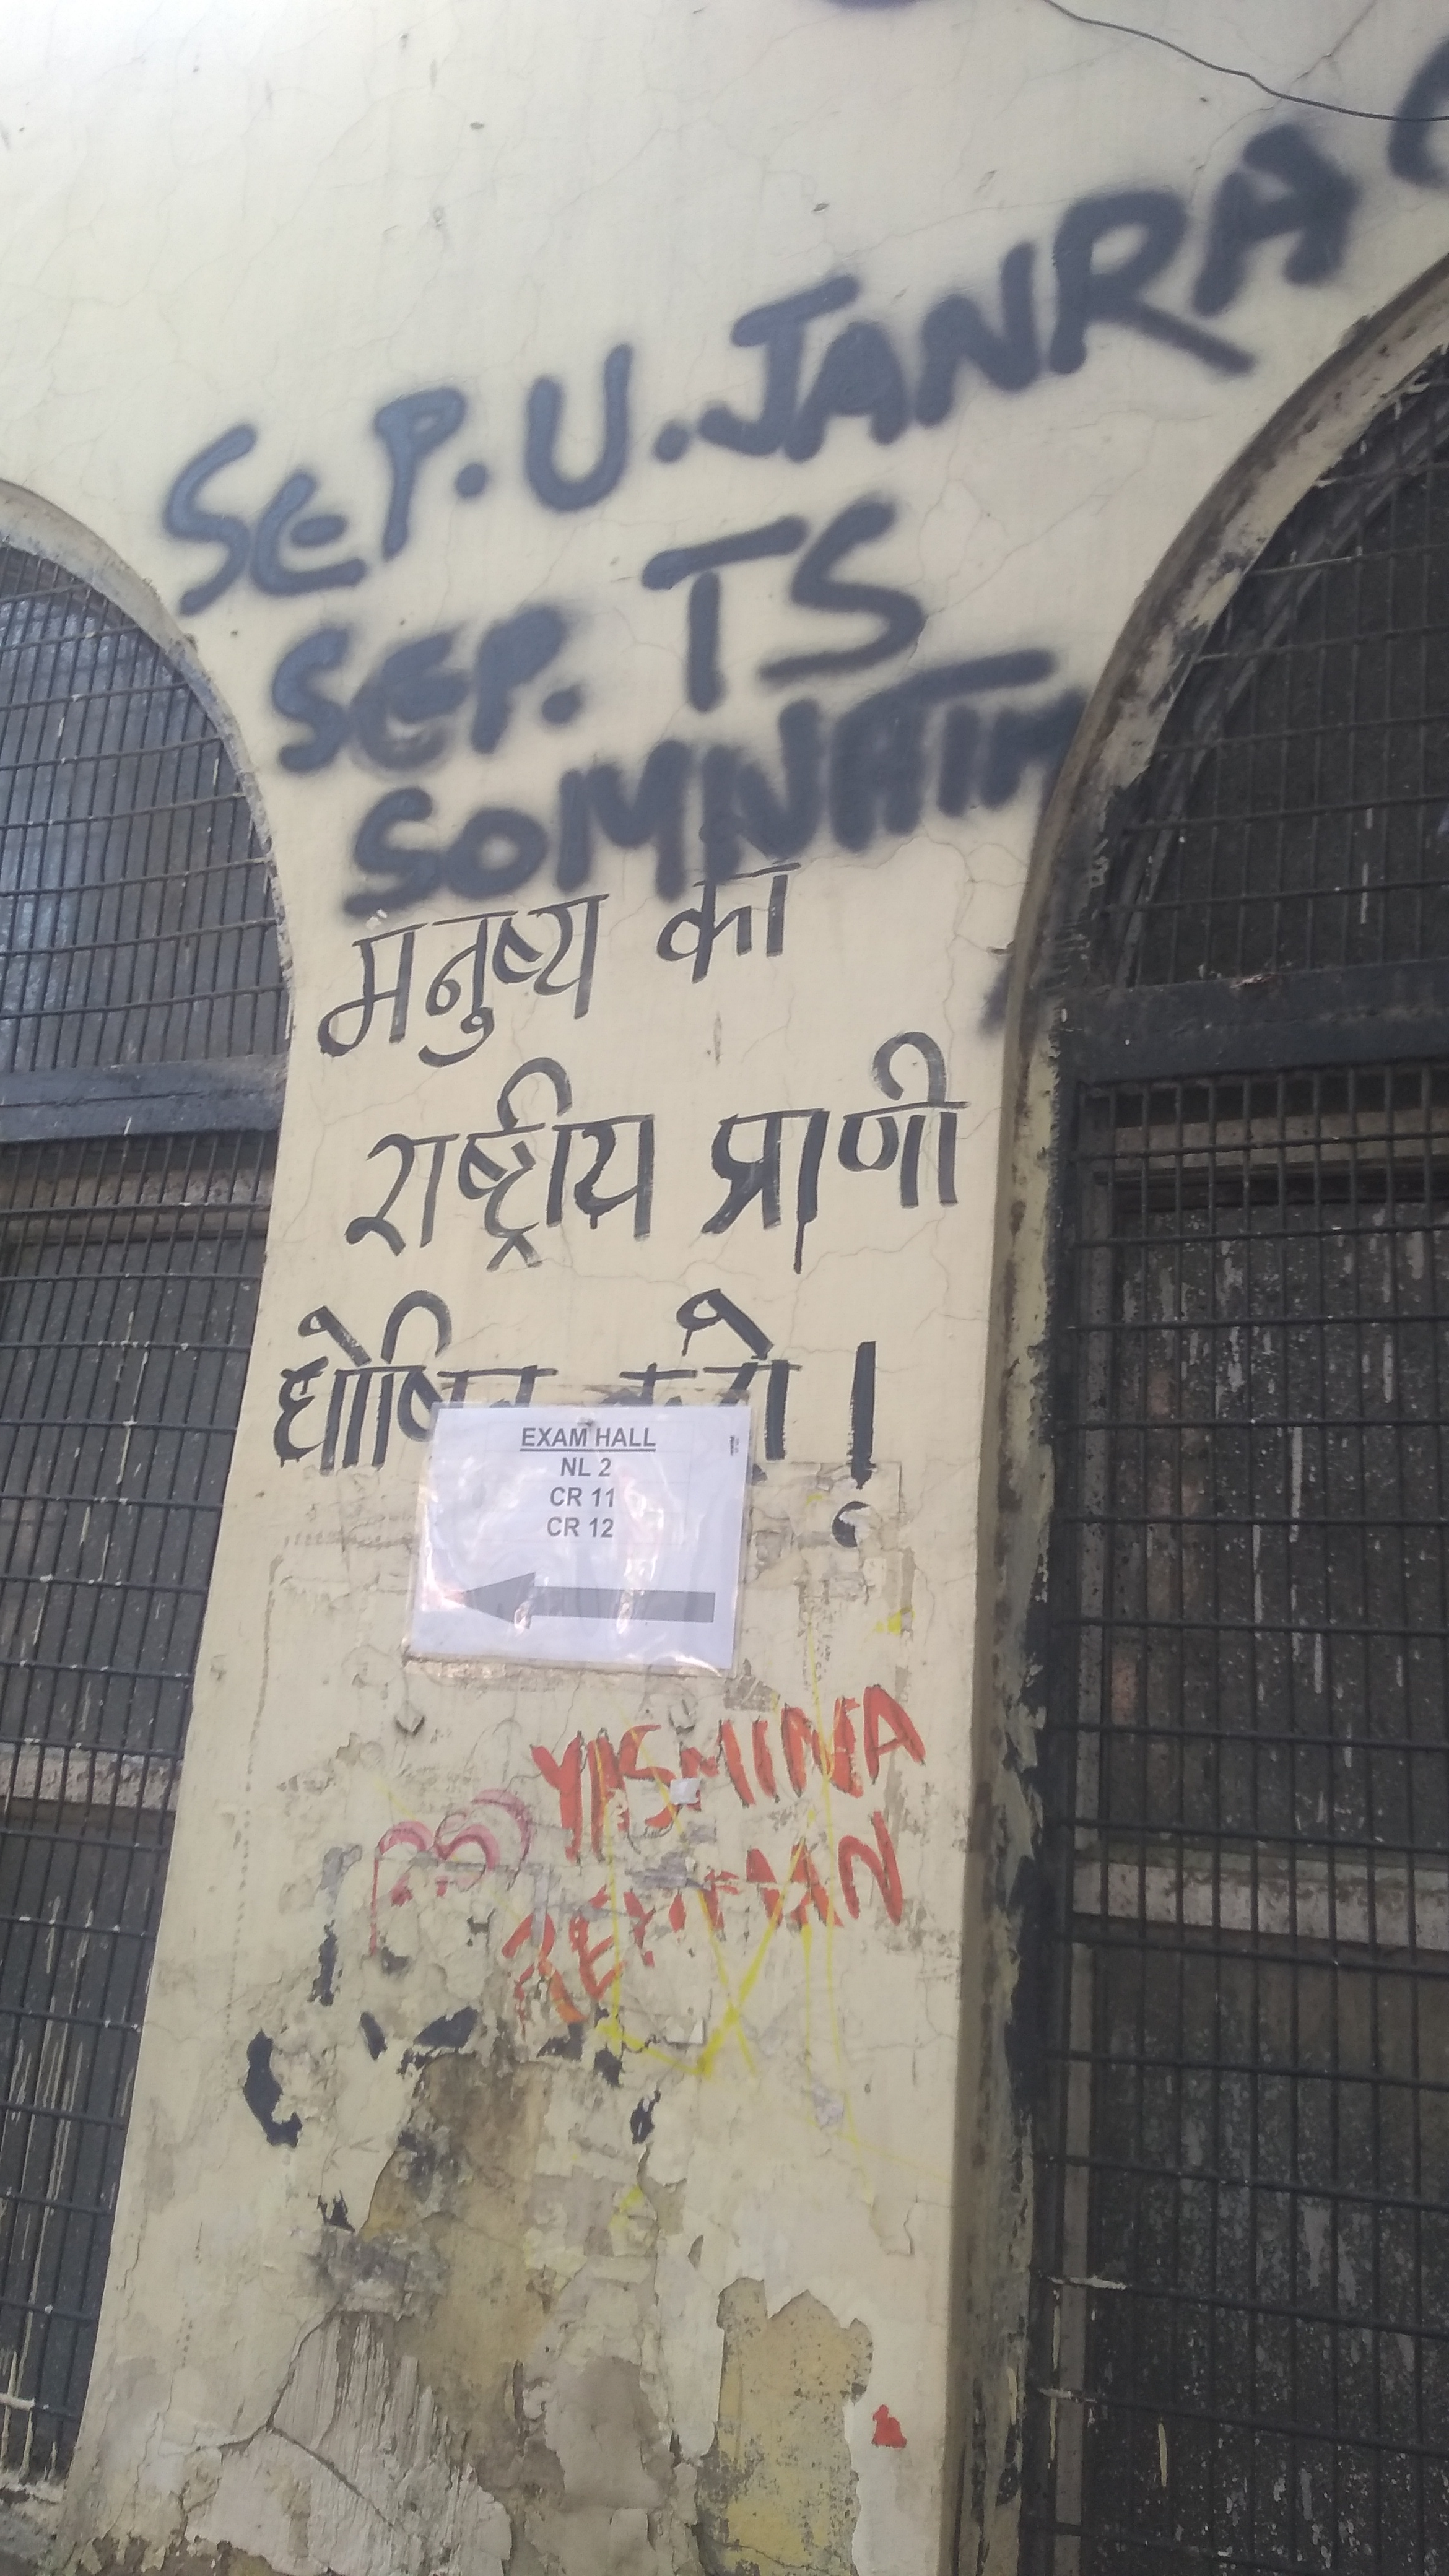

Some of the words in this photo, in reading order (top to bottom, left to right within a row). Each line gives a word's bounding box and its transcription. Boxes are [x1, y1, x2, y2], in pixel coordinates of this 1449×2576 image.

[160, 170, 1193, 622] SEP.U.JANR
[258, 602, 591, 781] SEP.
[329, 632, 1085, 924] SOMNATM
[305, 892, 622, 1079] मनुष्य
[646, 859, 811, 997] का
[326, 1049, 668, 1279] राष्‍ट्रीय
[694, 1025, 976, 1281] प्राणी
[518, 1424, 597, 1454] EXAM
[593, 1423, 656, 1453] HALL